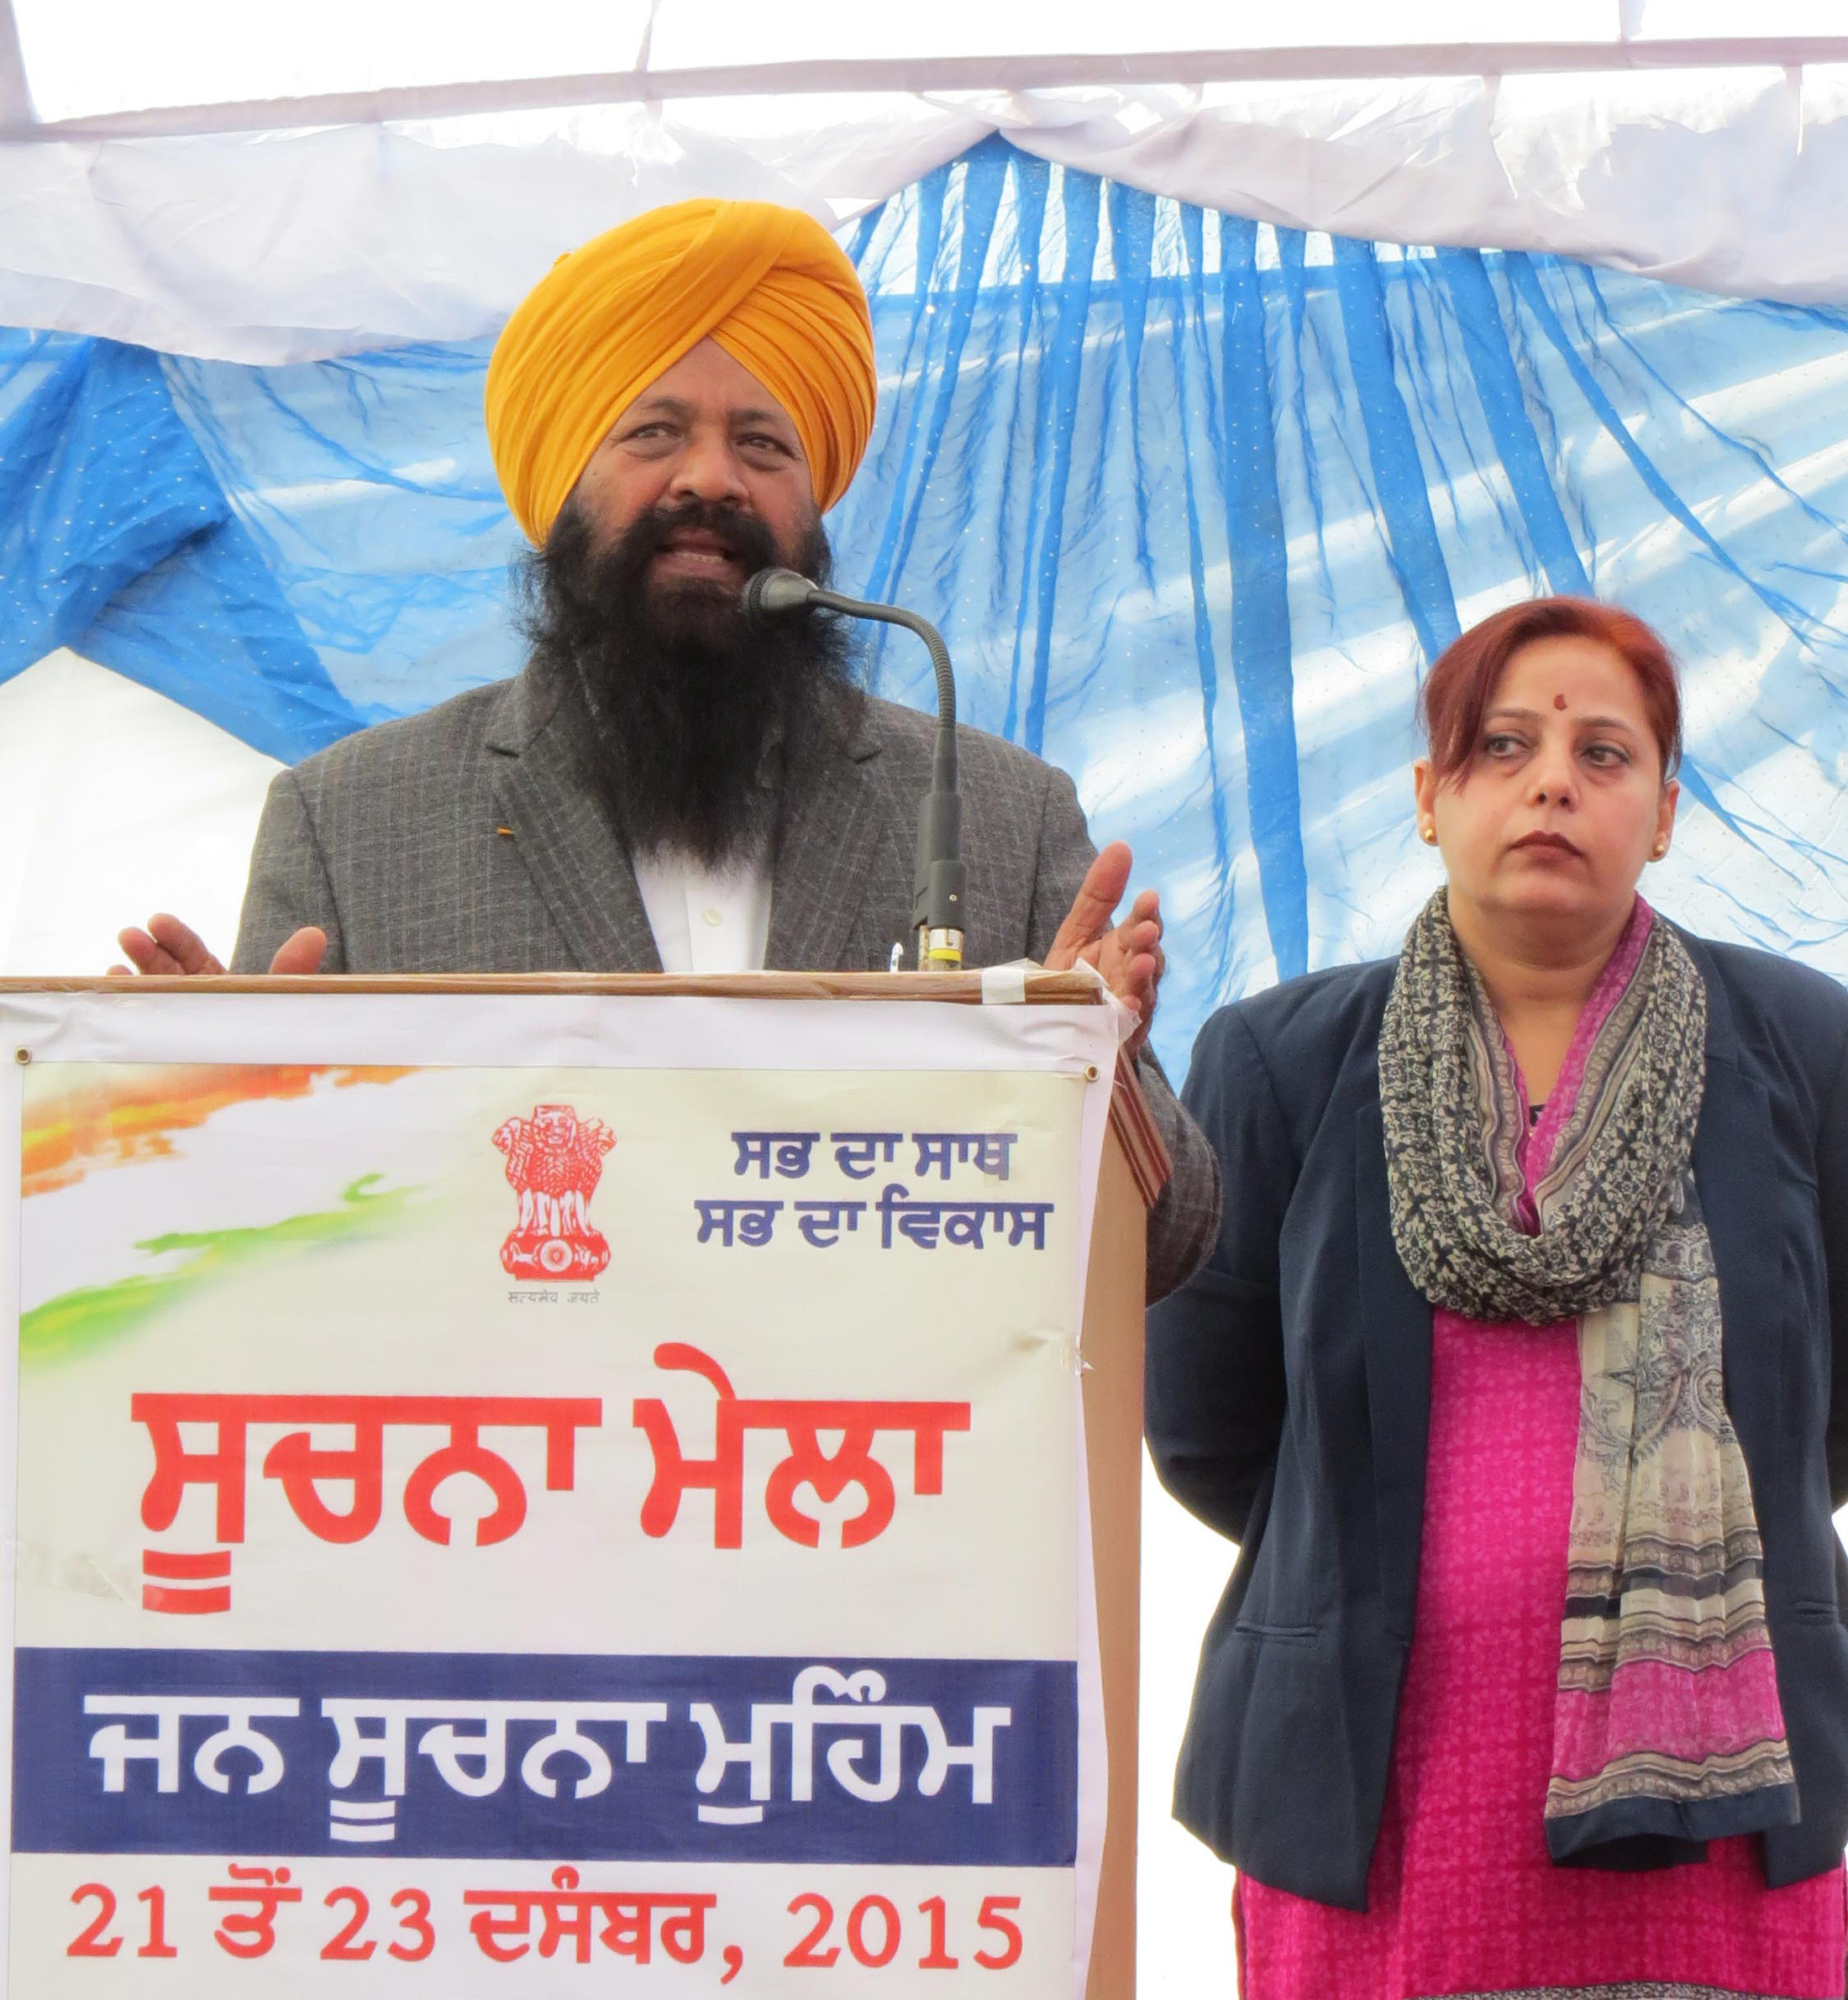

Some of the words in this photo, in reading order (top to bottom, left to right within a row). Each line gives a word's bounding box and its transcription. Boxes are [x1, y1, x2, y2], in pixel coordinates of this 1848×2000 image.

[724, 1122, 828, 1188] ਸਭ
[827, 1120, 907, 1192] ਦਾ
[907, 1119, 1026, 1192] ਸਾਥ
[690, 1192, 790, 1260] ਸਭ
[789, 1191, 869, 1259] ਦਾ
[867, 1178, 1063, 1263] ਵਿਕਾਸ
[111, 1375, 617, 1625] ਸੂਚਨਾ
[617, 1326, 999, 1564] ਮੇਲਾ
[66, 1682, 317, 1819] ਜਨ
[310, 1677, 678, 1852] ਸੂਚਨਾ
[678, 1658, 1032, 1835] ਮੁਇੰਮ
[55, 1871, 190, 1974] 21
[197, 1852, 318, 1964] ਤੇਂ
[302, 1871, 450, 1982] 23
[454, 1859, 727, 1984] ਦਸੰਬਰ
[771, 1875, 1037, 1982] 2015